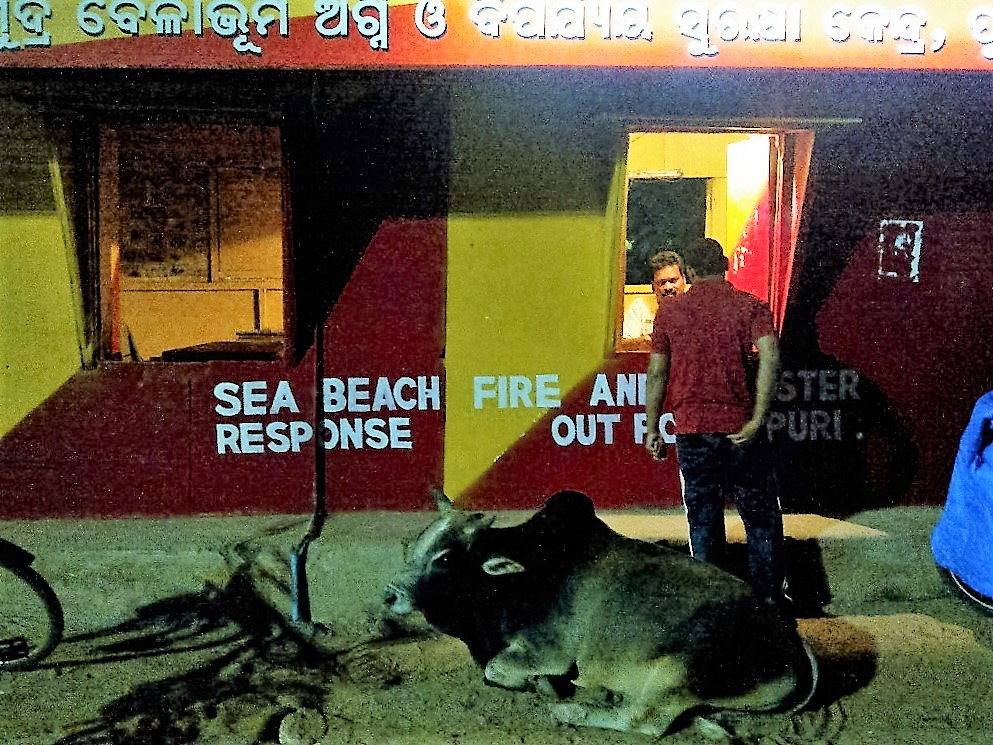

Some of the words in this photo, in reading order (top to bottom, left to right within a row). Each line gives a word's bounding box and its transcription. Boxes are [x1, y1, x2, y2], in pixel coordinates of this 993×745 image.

[70, 0, 290, 61] ବେଳାଭୂମ
[306, 0, 392, 54] ଅଗ୍ର
[407, 0, 450, 43] ઉ
[463, 1, 655, 47] ଦପଯ୍ଯୟ
[669, 1, 809, 64] ସୁରଯା
[817, 1, 955, 59] କେନ୍ର,
[211, 369, 306, 428] SEA
[317, 370, 445, 417] BEACH
[468, 369, 564, 413] FIRE
[585, 366, 650, 410] ANI
[775, 365, 862, 404] STER
[211, 417, 320, 459] RESP
[316, 409, 417, 454] ONSE
[550, 410, 634, 448] OUT
[761, 403, 851, 452] PURI